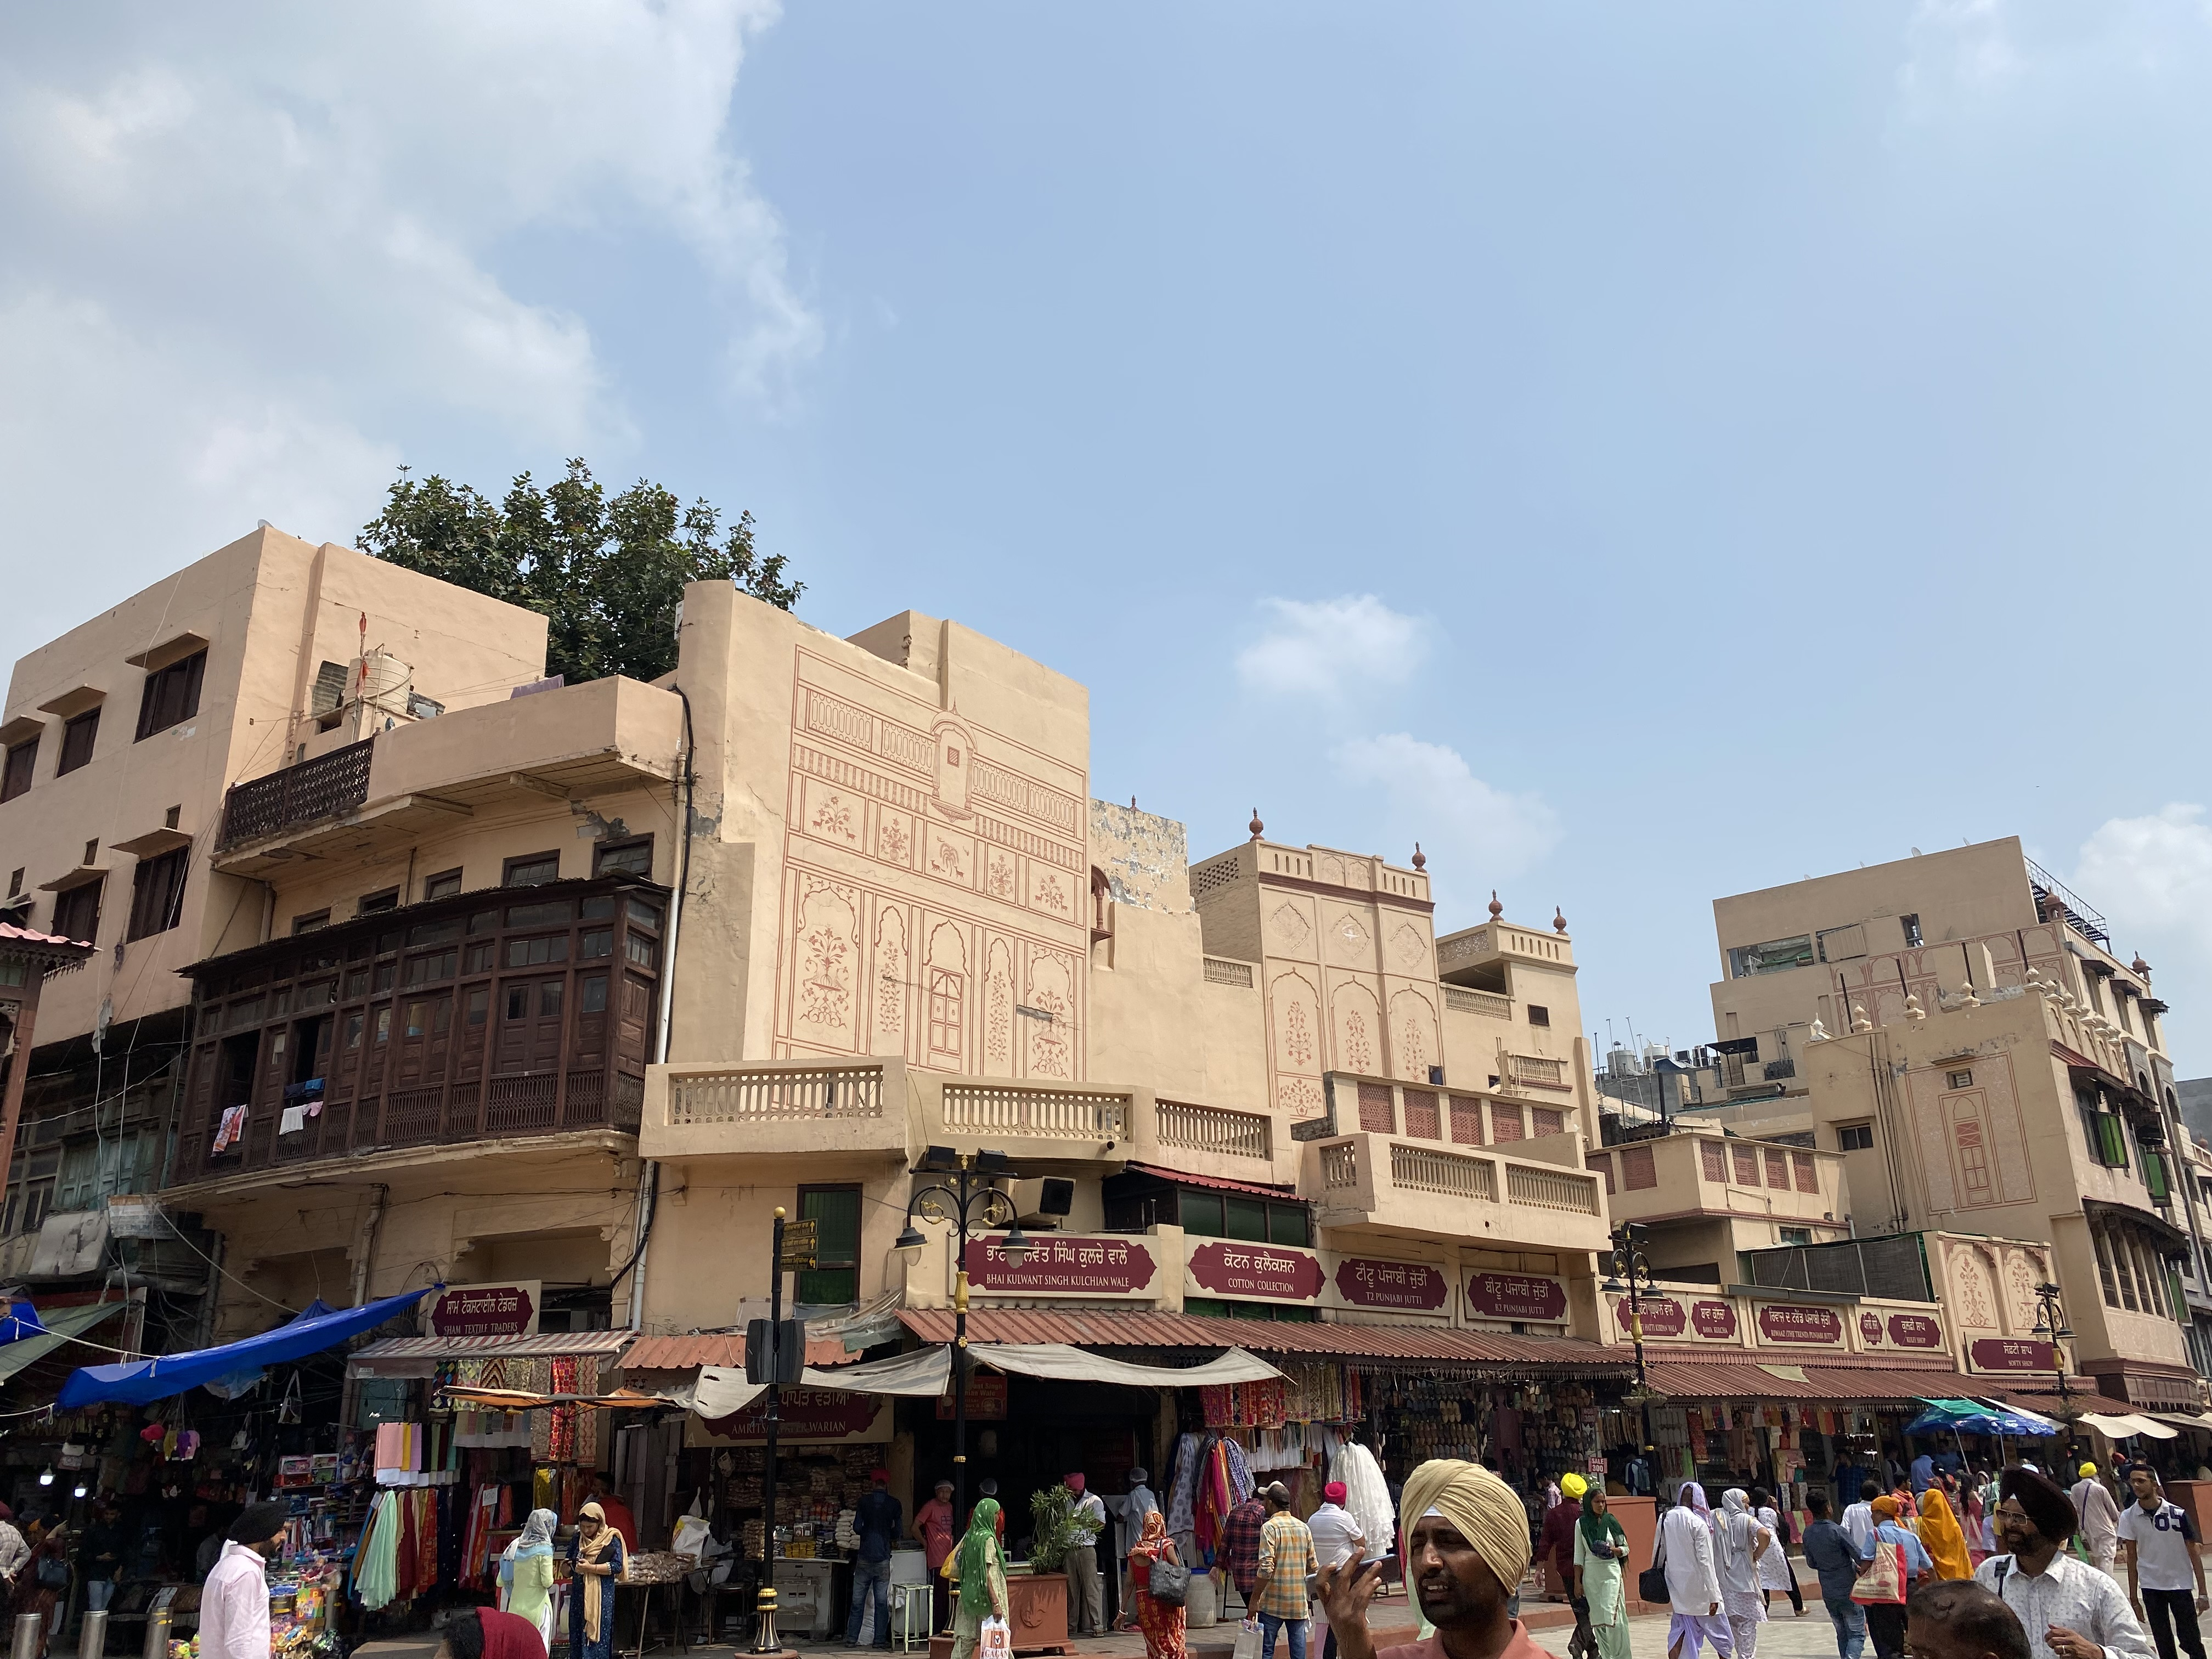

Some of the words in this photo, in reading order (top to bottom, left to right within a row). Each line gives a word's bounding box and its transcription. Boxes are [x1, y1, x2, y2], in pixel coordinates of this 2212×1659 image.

[1051, 1238, 1078, 1267] ਸਿੰਘ
[1076, 1240, 1107, 1270] ਕੁਲਚੇ
[1105, 1241, 1133, 1269] ਵਾਲੇ
[1218, 1244, 1252, 1274] ਕੋਟਨ
[1251, 1248, 1300, 1278] ਕੁਲੈਕਸ਼ਨ
[443, 1299, 460, 1317] ਸਾਮ
[441, 1322, 463, 1336] SHAM
[462, 1321, 489, 1336] TEXTILE
[459, 1290, 497, 1317] ਟੈਕਸਟਾਈਲ
[488, 1319, 520, 1335] TRADERS
[496, 1290, 522, 1314] ਟੇਡਰਜ਼
[983, 1271, 1005, 1286] BHAI
[1006, 1271, 1043, 1287] KULWANT
[1043, 1273, 1069, 1286] SINGH
[1069, 1273, 1109, 1288] KULCHIAN
[1109, 1273, 1131, 1288] WALE
[1224, 1276, 1256, 1291] COTTON
[1255, 1276, 1296, 1296] COLLECTION
[1353, 1259, 1378, 1289] ਟੀਟੂ
[1363, 1290, 1375, 1303] T2
[1374, 1288, 1403, 1306] PUNJABI
[1375, 1262, 1407, 1290] ਪੰਜਾਬੀ
[1403, 1291, 1424, 1307] JUTTI
[1407, 1265, 1430, 1293] ਜੁੱਤੀ
[1481, 1274, 1504, 1301] ਬੀਟੂ
[1492, 1302, 1503, 1314] B2
[1502, 1302, 1528, 1316] PUNJABI
[1503, 1276, 1531, 1301] ਪੰਜਾਬੀ
[1527, 1304, 1547, 1317] JUTTI
[1531, 1279, 1553, 1304] ਜੁੱਈ
[1696, 1306, 1712, 1323] ਬਾਵਾ
[1711, 1303, 1729, 1324] ਕੁੱਲਚਾ
[1764, 1305, 1786, 1325] ਰਿਵਾਜ਼
[1784, 1310, 1792, 1325] ਦ
[1791, 1307, 1805, 1325] ਟਰੈਂਡ
[1803, 1308, 1820, 1328] ਪੰਜਾਬੀ
[1820, 1310, 1833, 1329] ਜੁੱਤੀ
[1999, 1340, 2021, 1357] ਸੋਫ਼ਟੀ
[2019, 1341, 2034, 1357] ਥਾਪ
[777, 1390, 815, 1412] ਪਾਪੜ
[978, 1389, 998, 1398] Wale
[984, 1380, 1005, 1392] Singh
[728, 1420, 769, 1435] AMRITS
[807, 1418, 849, 1434] WARIAN
[683, 1429, 698, 1448] A